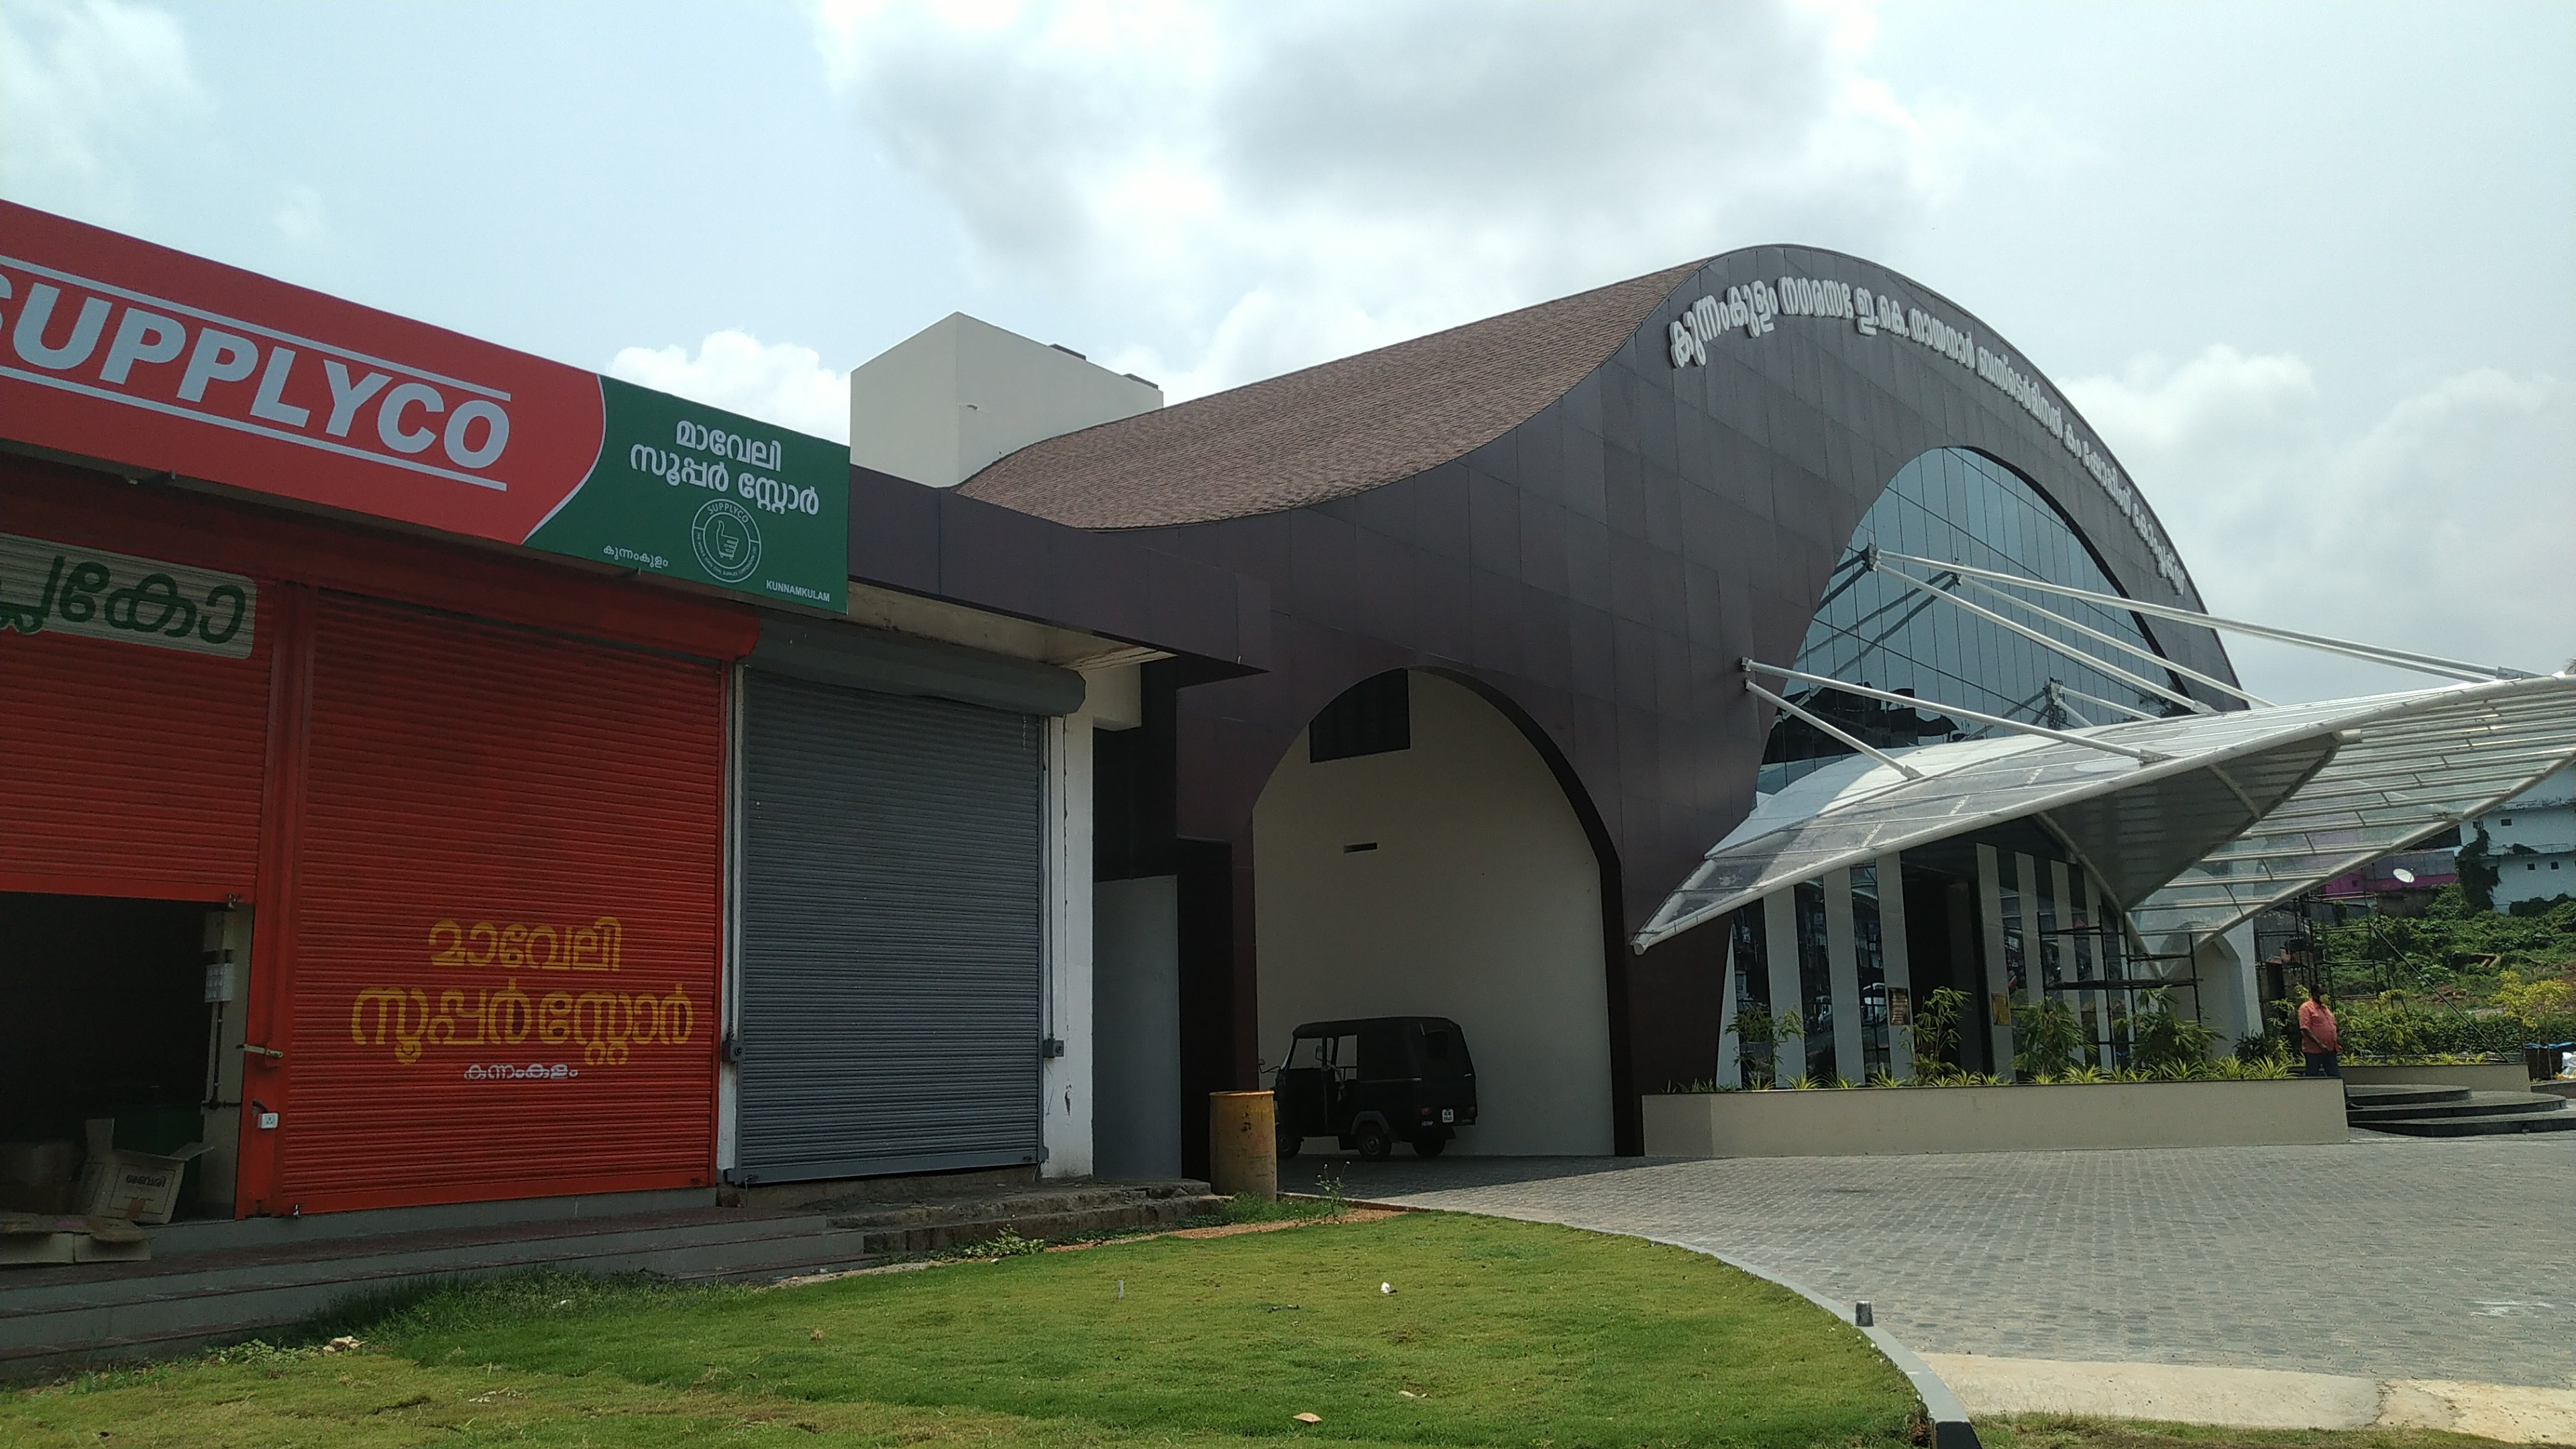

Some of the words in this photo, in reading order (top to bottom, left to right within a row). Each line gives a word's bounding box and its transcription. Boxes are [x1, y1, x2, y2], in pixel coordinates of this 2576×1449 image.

[1666, 274, 1782, 370] കുന്നംകുളം
[1774, 273, 1911, 341] നഗരസഭഇ.കെ.
[1904, 303, 1978, 374] നായനാർ
[7, 275, 515, 482] UPPLYCO
[1973, 341, 2068, 443] ബസ്ടെർമിനൽ
[625, 438, 736, 499] സൂപ്പർ
[670, 412, 786, 477] മാവേലി
[704, 498, 752, 527] SUPPLYCO
[731, 466, 825, 522] സ്റ്റോർ
[2059, 419, 2135, 523] കംഷോചിംഗ്
[48, 555, 256, 655] കോ
[602, 543, 672, 572] കുന്നംകുളം
[763, 575, 833, 604] KUNNAMKULAM
[2127, 500, 2190, 602] കോം‌പ്ലക്സ്
[425, 908, 627, 973] മാവേലി
[341, 974, 704, 1071] സൂപ്പർസ്റ്റോർ
[455, 1057, 582, 1084] കുന്നംകുളം